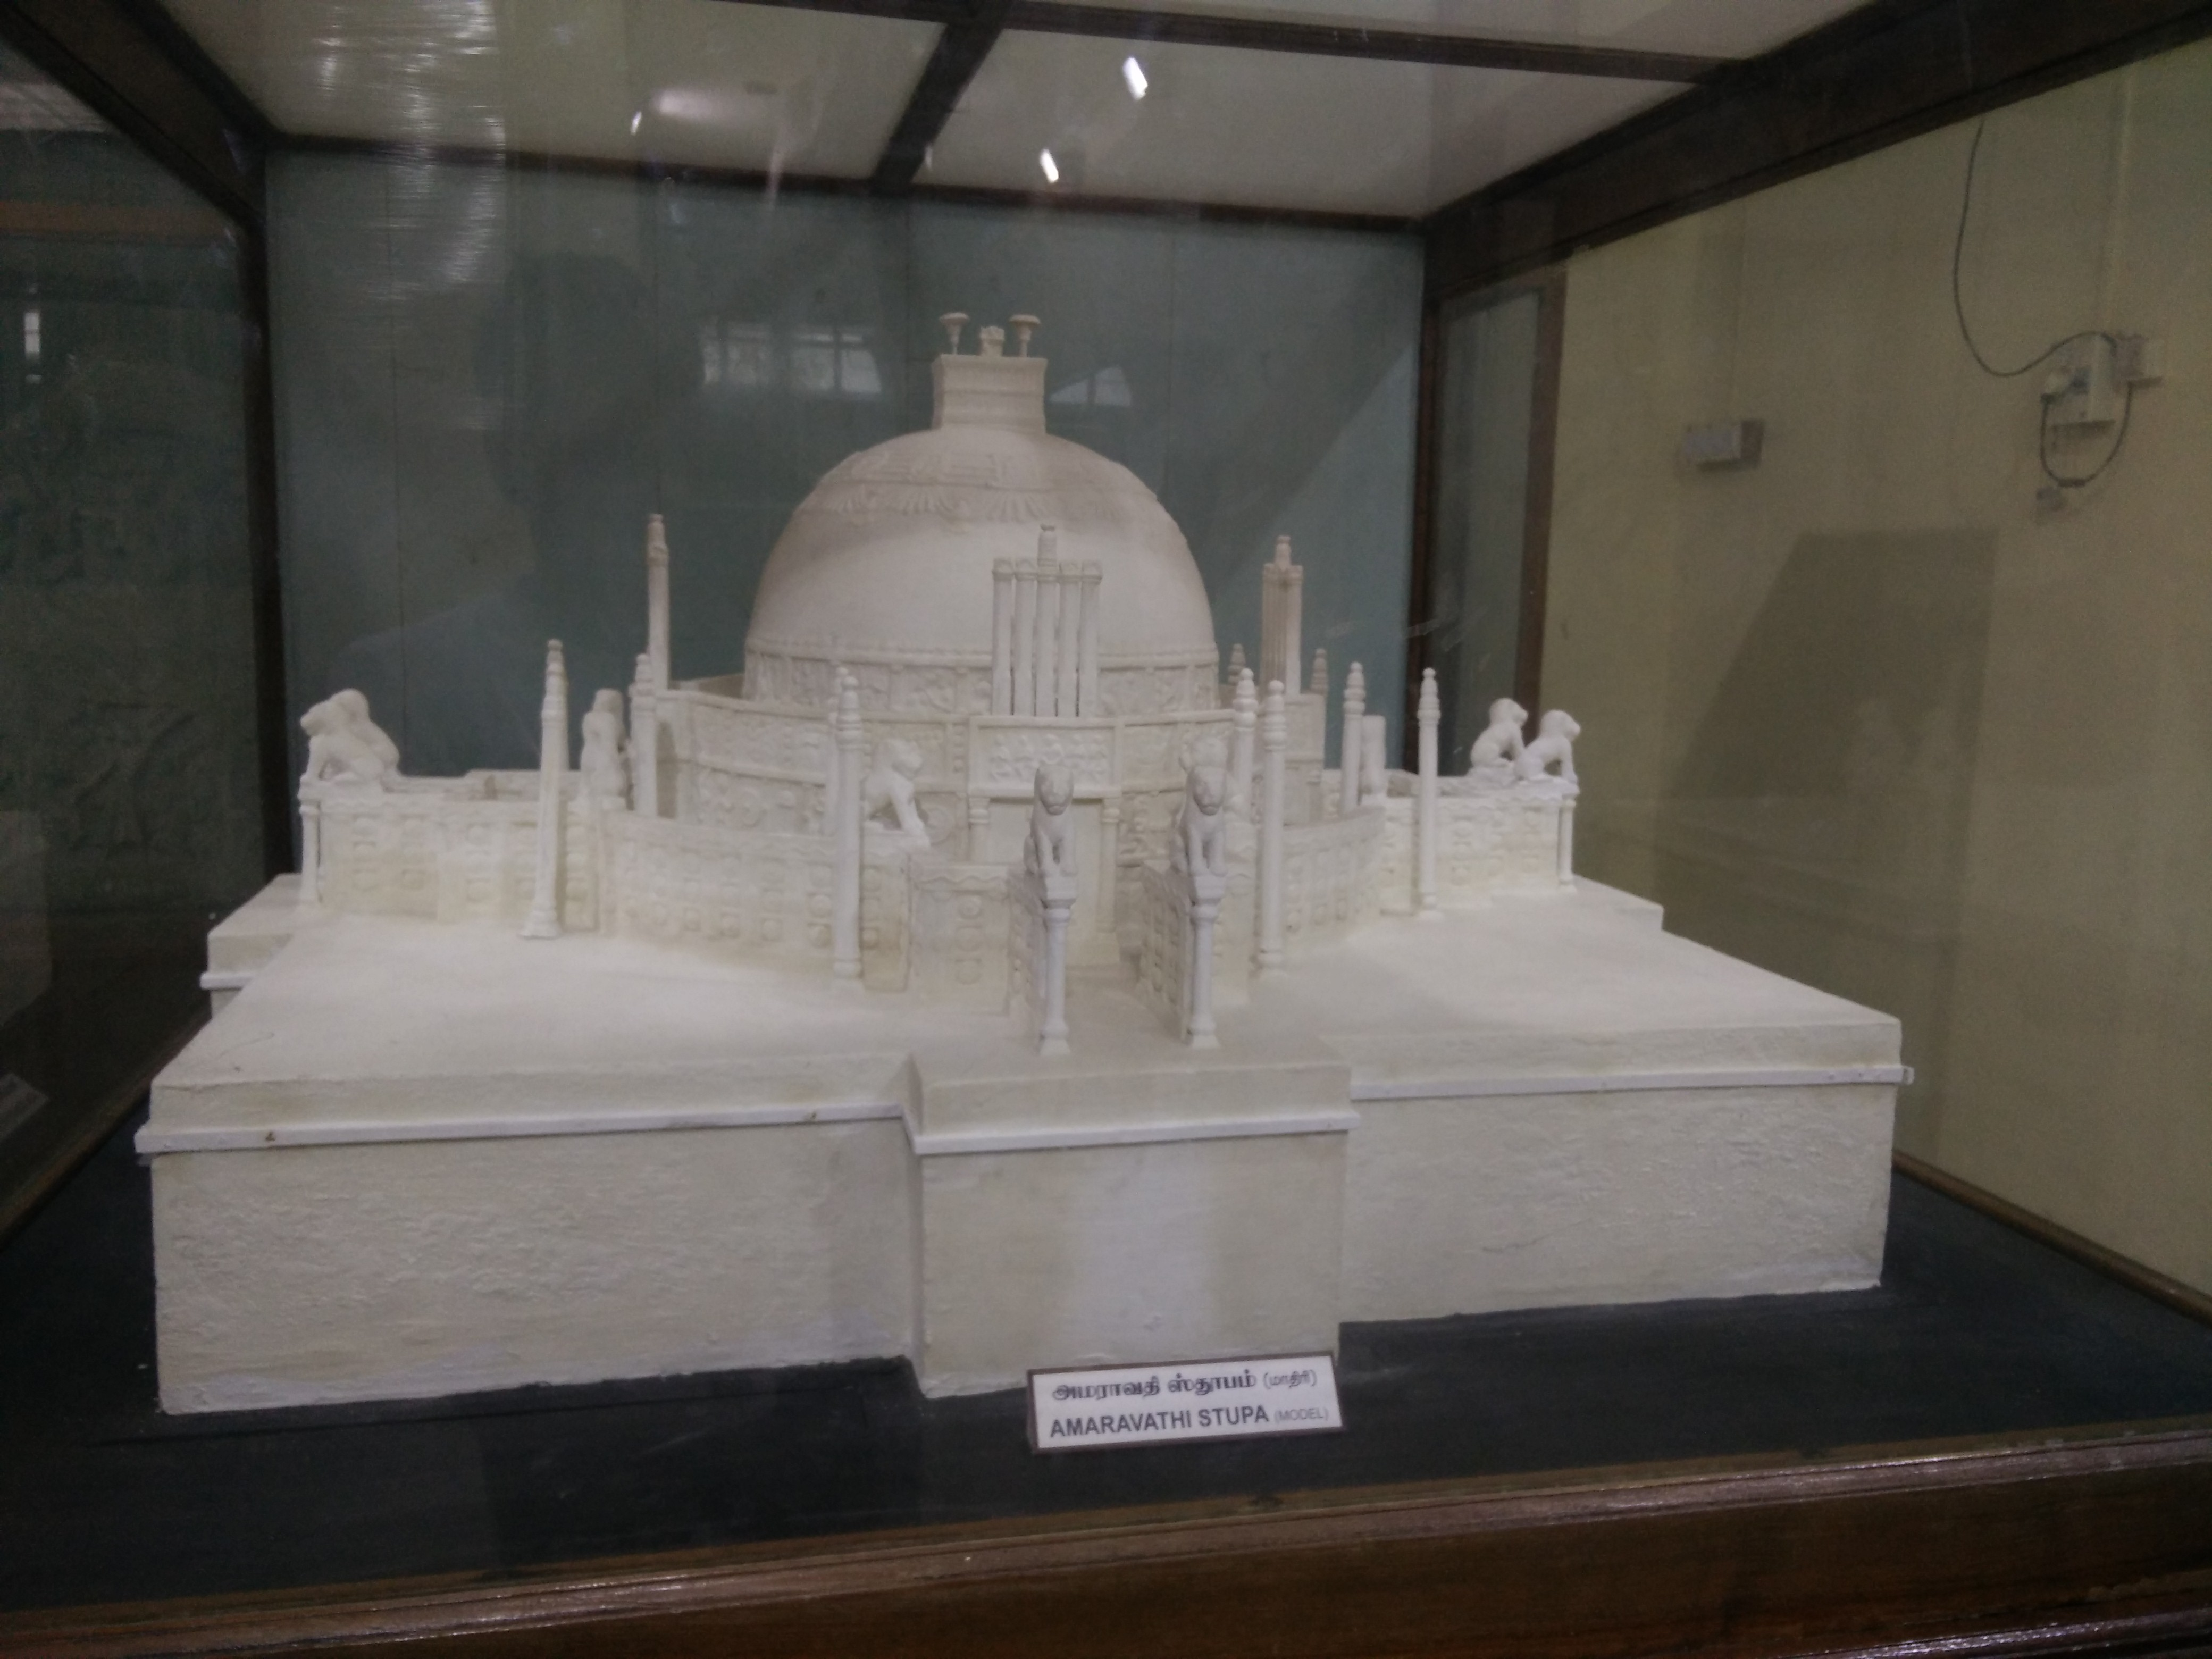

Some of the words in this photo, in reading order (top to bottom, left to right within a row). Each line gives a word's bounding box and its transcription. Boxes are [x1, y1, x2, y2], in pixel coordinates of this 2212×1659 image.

[1043, 1371, 1163, 1403] அமராவதி
[1164, 1364, 1260, 1399] ஸ்தூபம்
[1264, 1366, 1316, 1391] மாதிாி)
[1046, 1407, 1194, 1440] AMARAVATHI
[1195, 1401, 1272, 1431] STUPA
[1275, 1403, 1328, 1423] MODEL